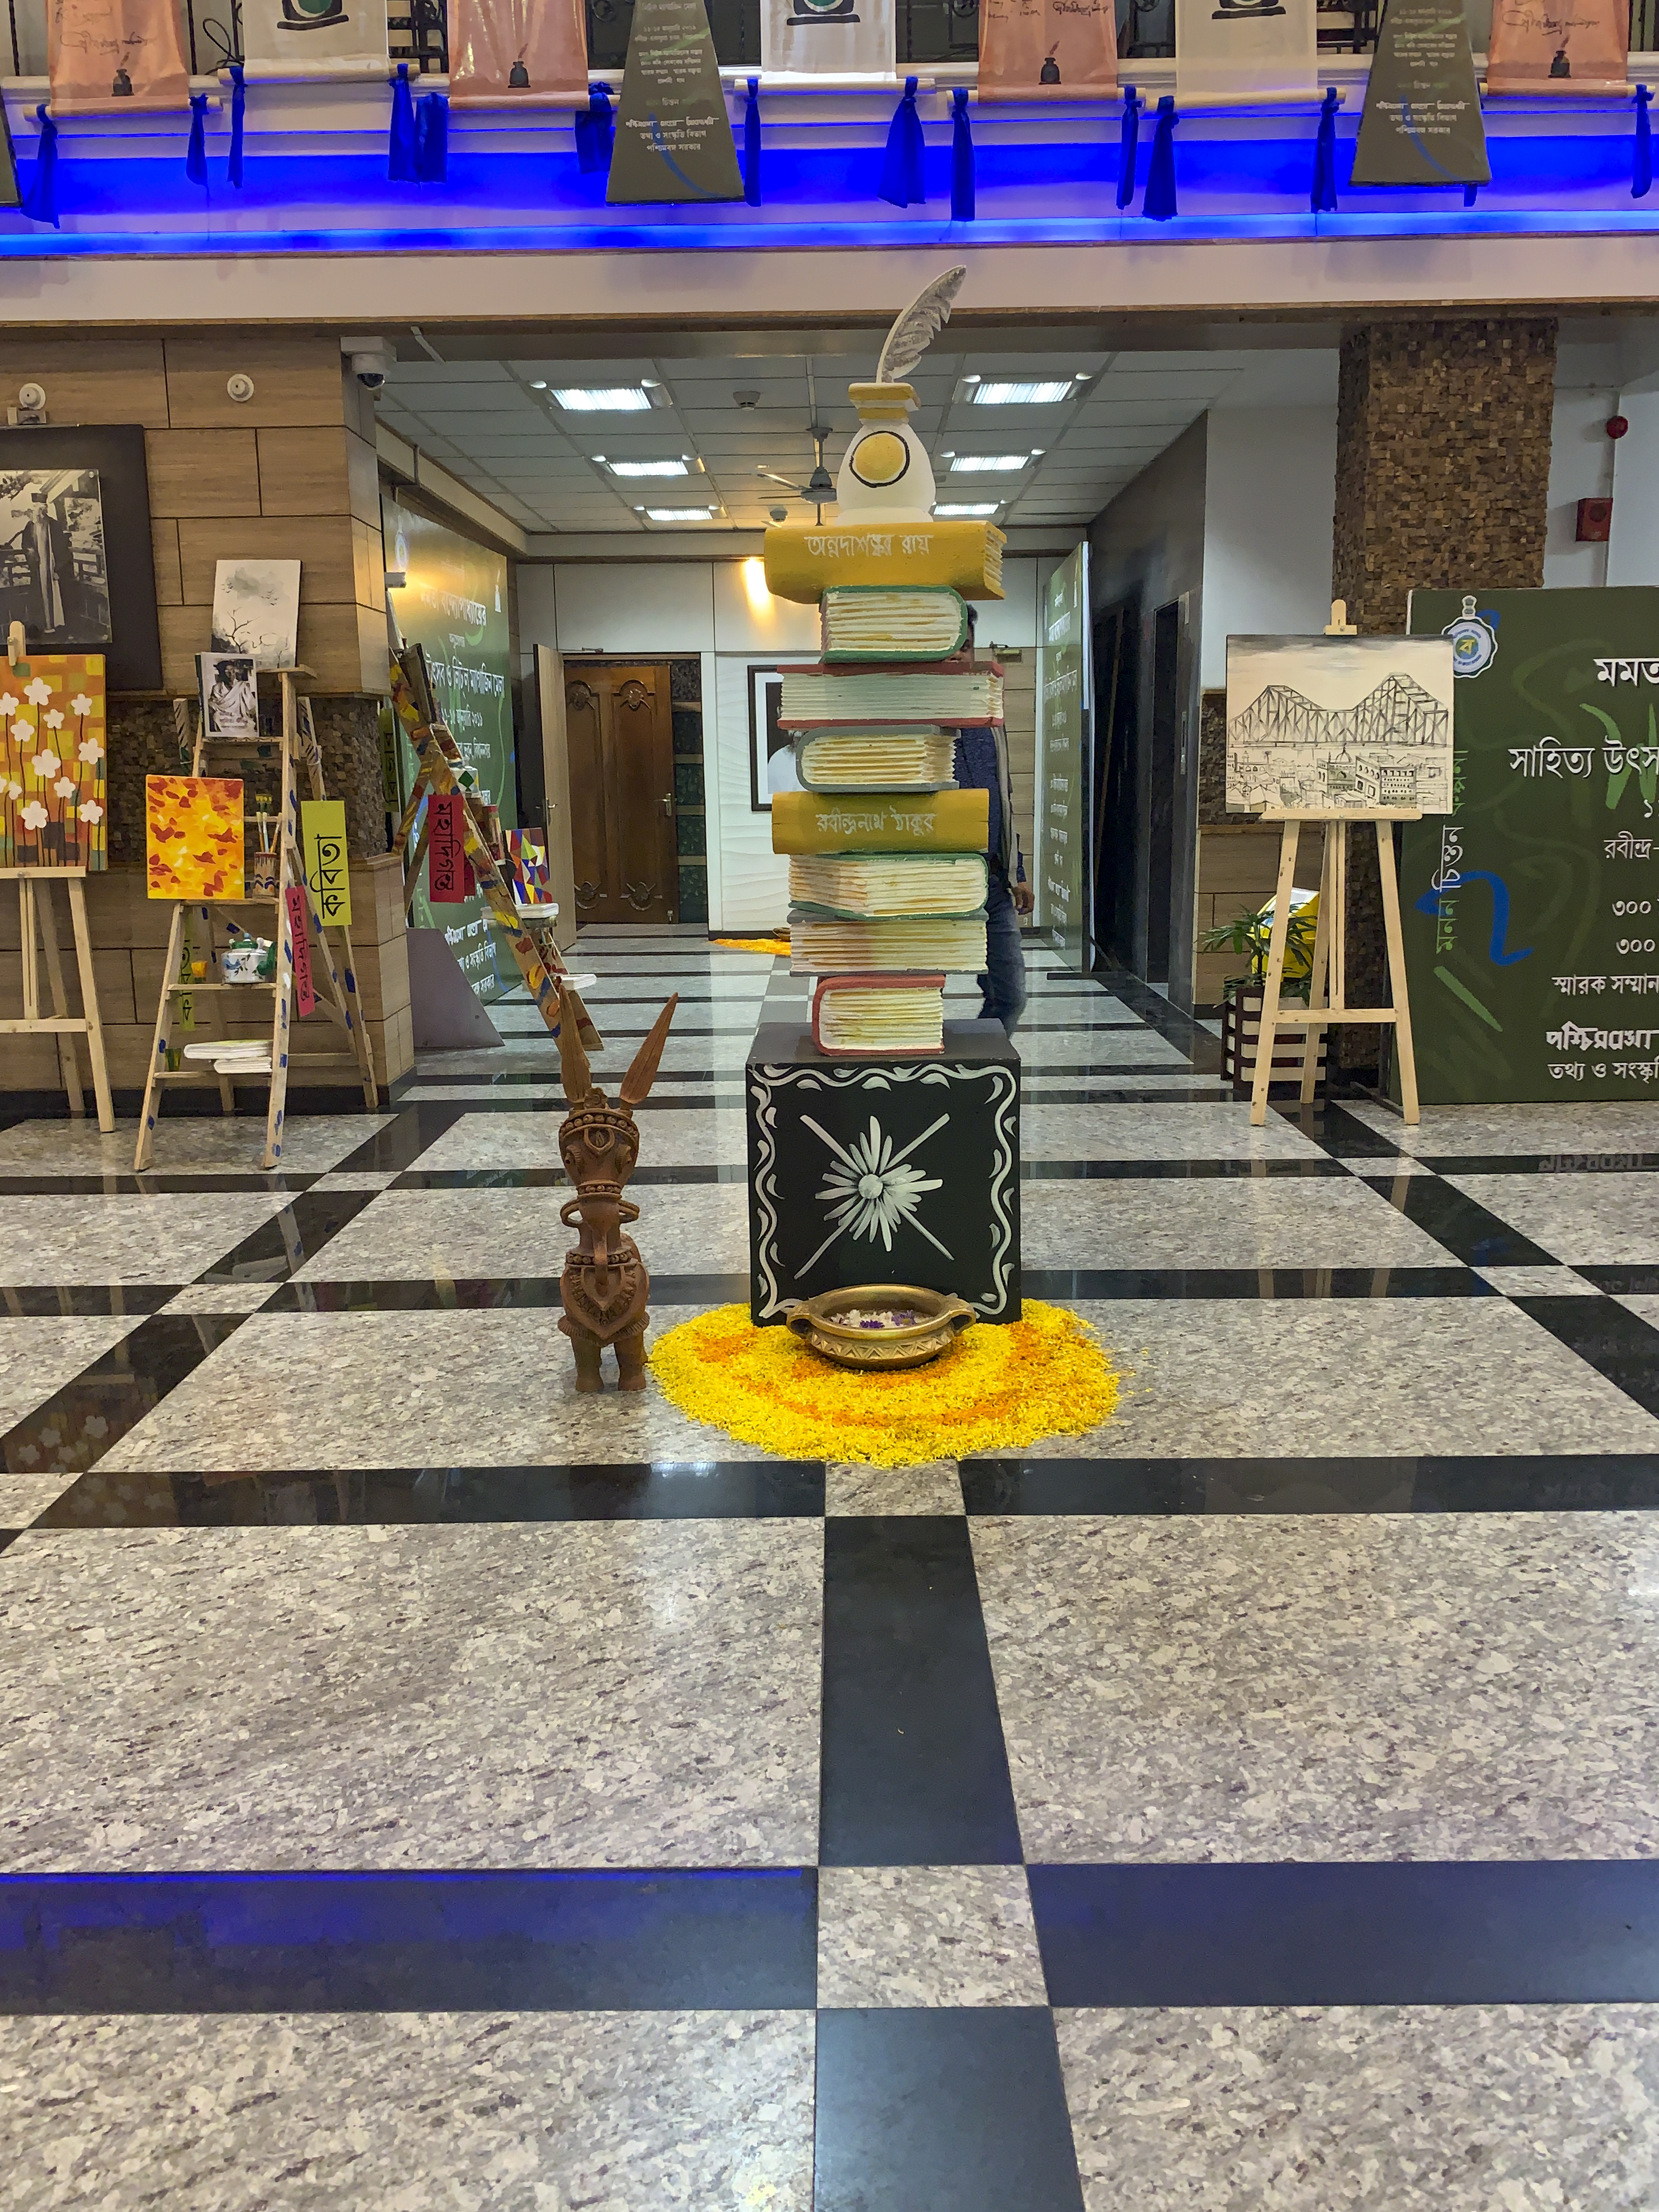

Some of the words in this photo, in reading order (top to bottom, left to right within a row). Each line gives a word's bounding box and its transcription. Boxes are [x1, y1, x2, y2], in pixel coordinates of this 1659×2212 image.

[636, 128, 656, 144] তথ্য
[642, 138, 680, 156] পশ্চিমবঙ্গ
[660, 124, 687, 142] সংস্কৃতি
[675, 138, 703, 156] সরকার
[683, 121, 710, 142] বিভাগ
[800, 522, 903, 564] অন্নদাশস্বর
[896, 526, 935, 560] রায়
[439, 588, 489, 631] বন্দ্যোপাধ্যায়ের
[448, 651, 473, 695] লিটল
[464, 659, 508, 699] ম্যাগাজিন মেলা
[1589, 647, 1656, 691] মমত
[1501, 729, 1600, 785] সাহিত্য
[1596, 730, 1658, 777] উৎস
[428, 800, 466, 894] মহাদিগন্ত
[809, 802, 889, 841] রবীন্দ্রন৷থ
[886, 800, 943, 844] ঠাকুর
[1601, 821, 1654, 863] রবীন্দ্র
[304, 828, 351, 921] কবিতা
[1426, 817, 1468, 956] মনন চিন্তন
[1609, 897, 1654, 921] ৩০০
[284, 892, 313, 1007] মহাদিগন্ত
[1611, 933, 1658, 959] ৩০০
[1546, 968, 1612, 1002] স্মারক
[1606, 966, 1657, 999] সম্মান
[1538, 1054, 1591, 1087] তথ্য
[1611, 1053, 1658, 1085] সংস্কৃ